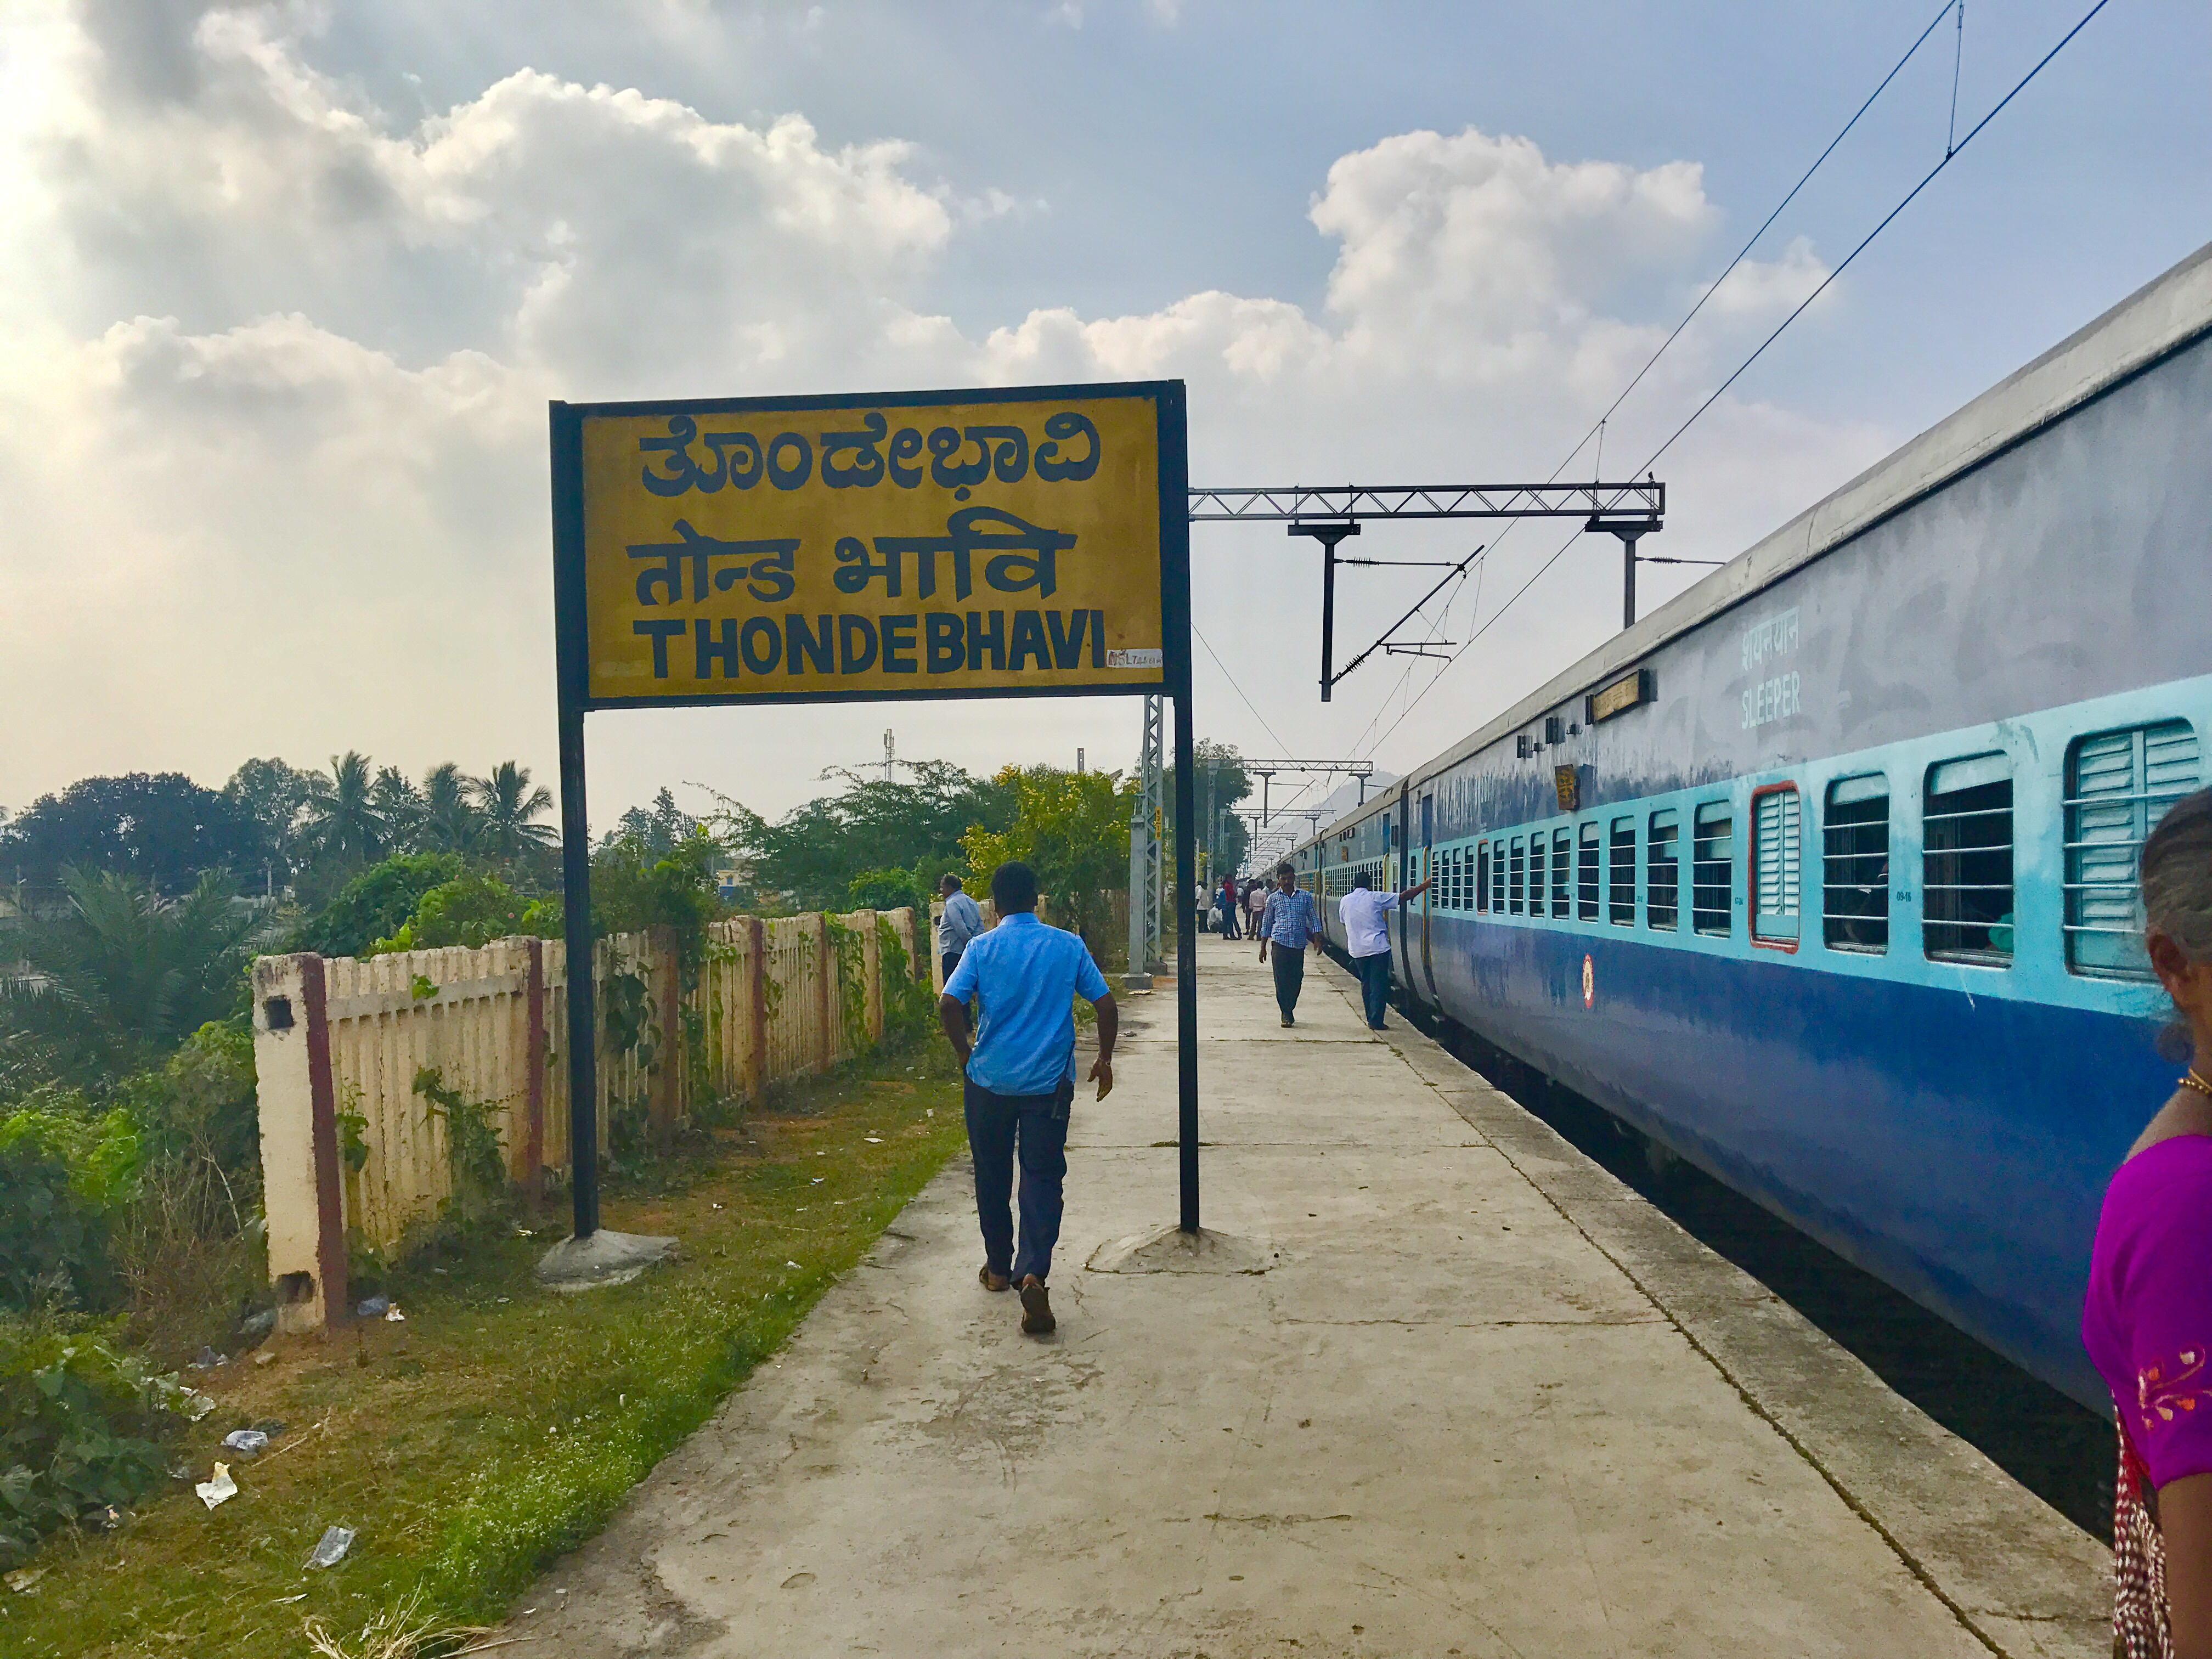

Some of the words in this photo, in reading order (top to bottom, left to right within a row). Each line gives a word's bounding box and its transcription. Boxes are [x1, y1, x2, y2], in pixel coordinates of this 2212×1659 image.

[635, 402, 1106, 504] ತೊಂಡೇಭಾವಿ
[623, 514, 804, 613] तोन्ड
[831, 500, 1081, 606] भावि
[630, 605, 1108, 681] THONDEBHAVI
[1736, 603, 1805, 673] शयनयान
[1736, 668, 1804, 733] SLEEPER